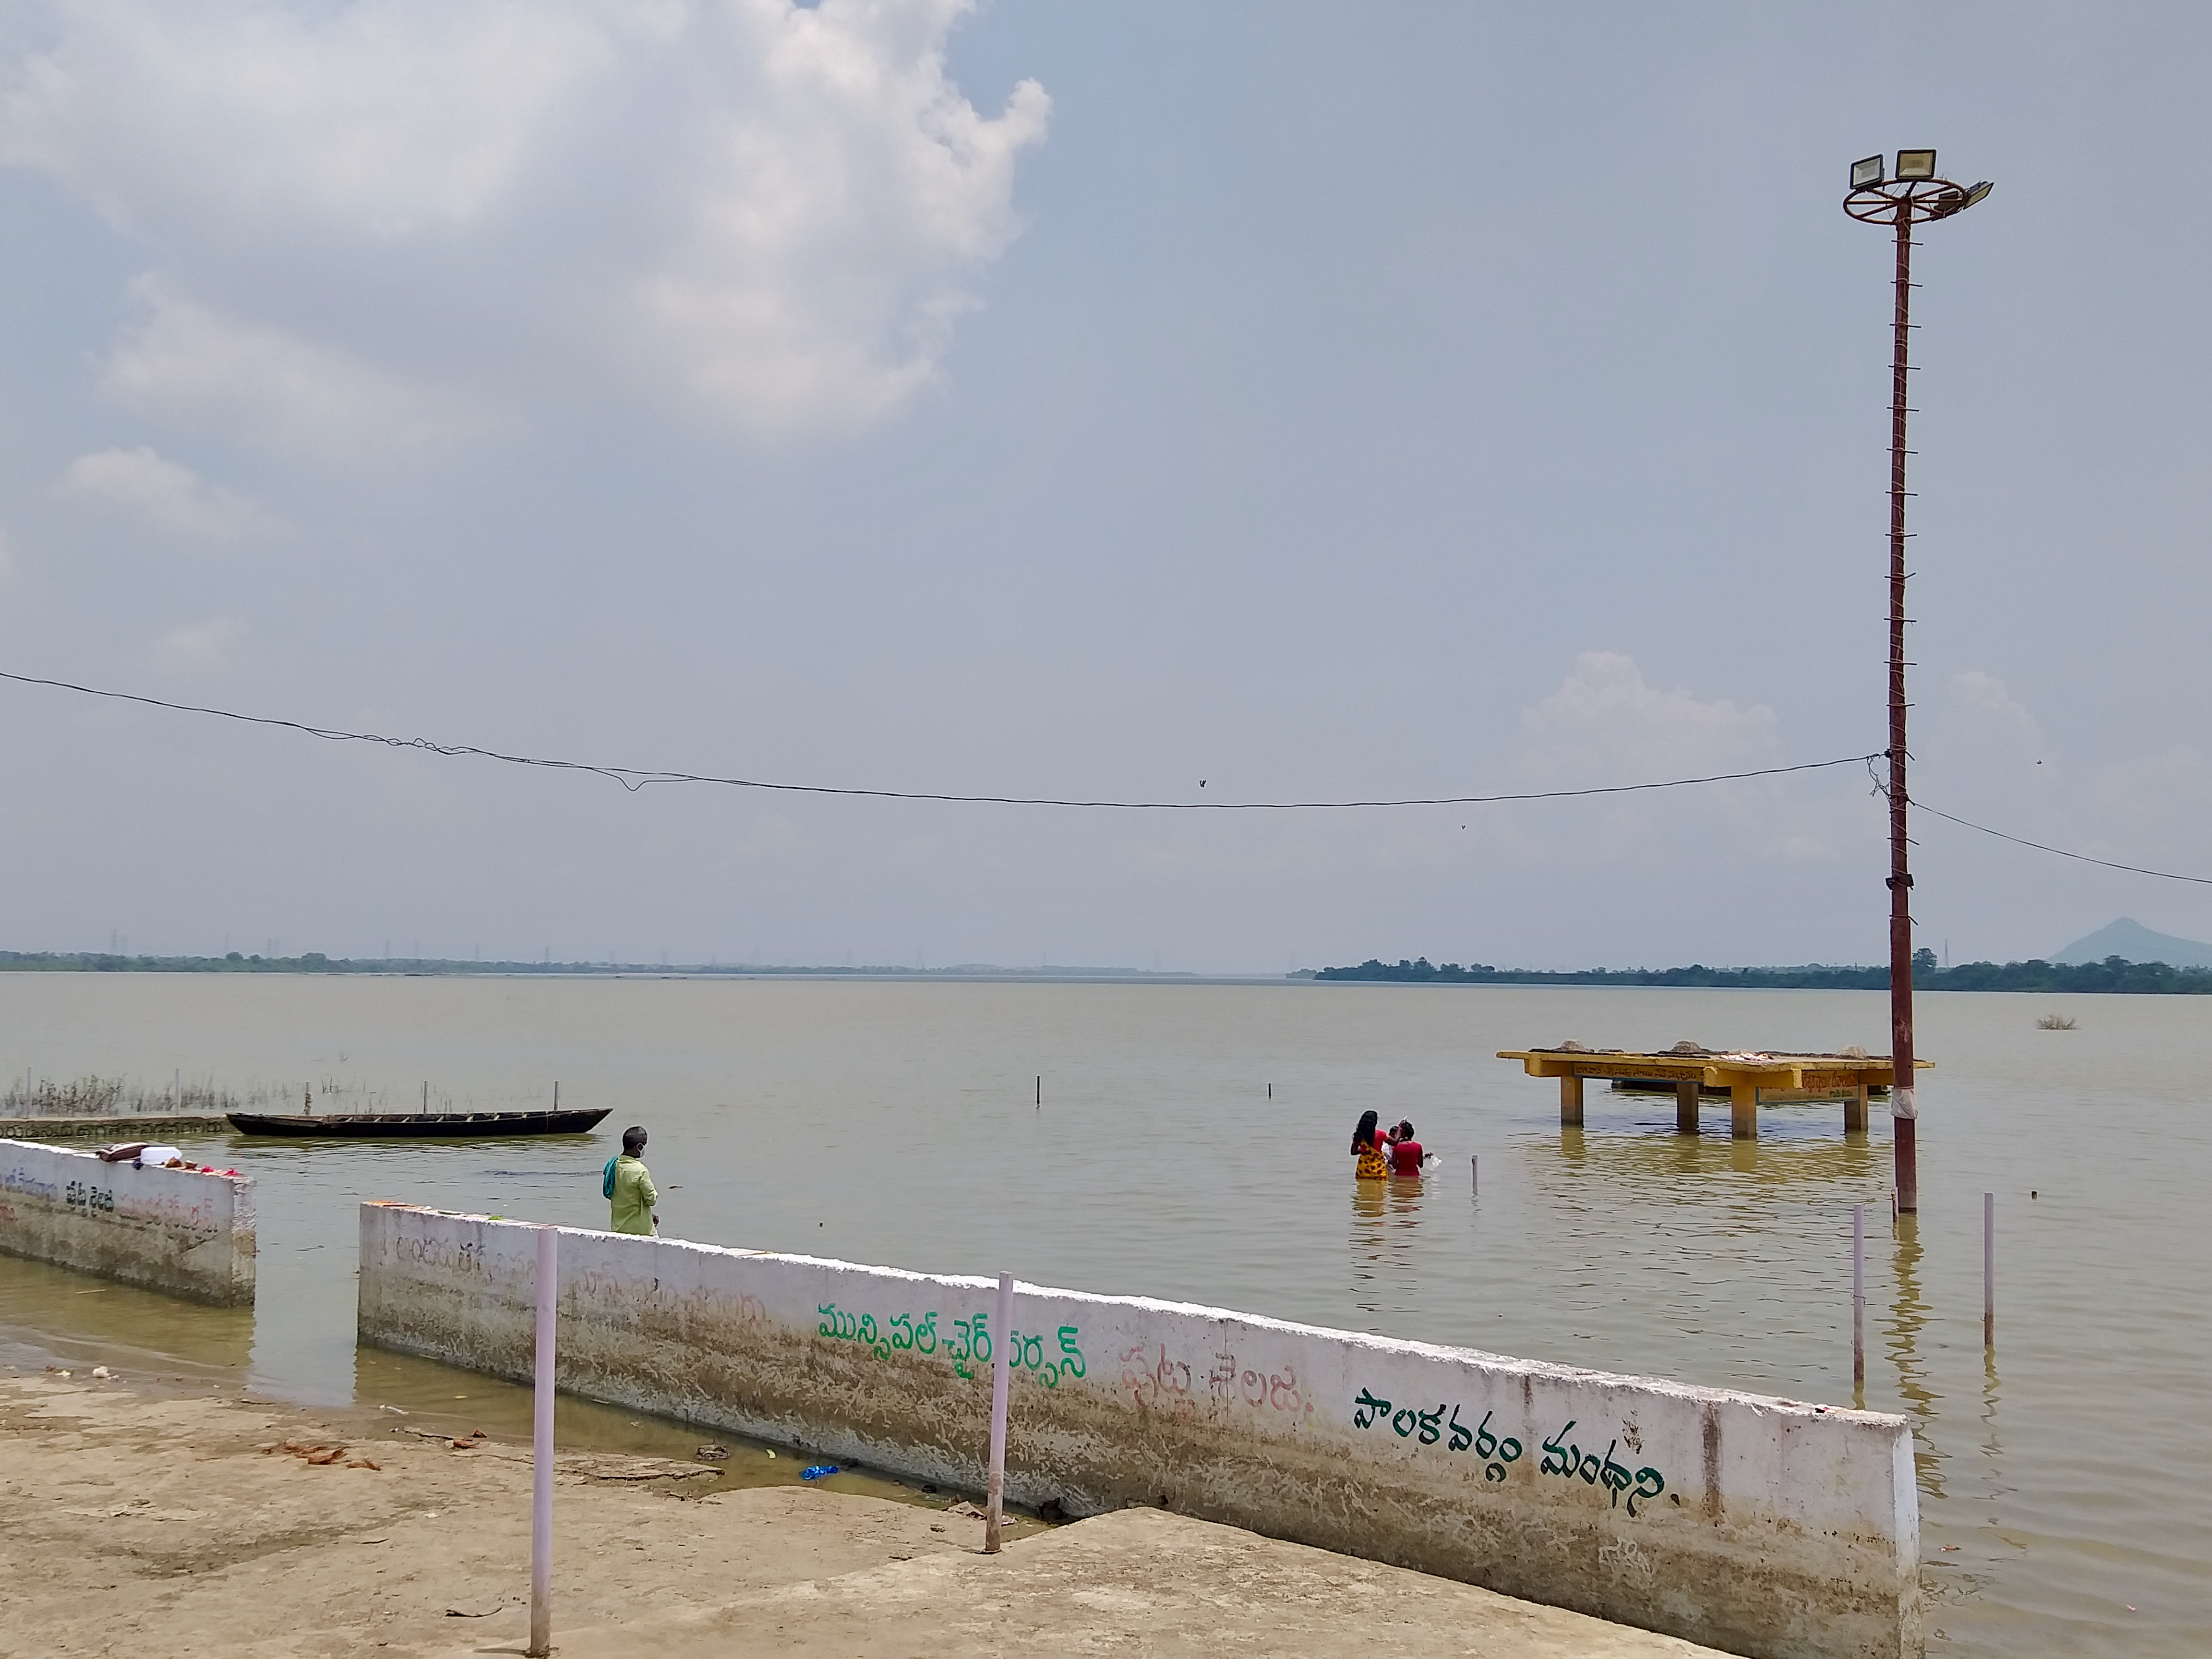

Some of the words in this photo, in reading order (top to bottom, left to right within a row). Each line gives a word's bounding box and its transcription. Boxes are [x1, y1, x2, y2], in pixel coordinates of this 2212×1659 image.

[57, 1172, 118, 1222] పుట్ట శైలజ
[390, 1234, 496, 1283] అందరుతన
[811, 1293, 944, 1364] మున్సిపల్
[936, 1306, 998, 1387] చైర్
[998, 1320, 1091, 1399] పర్సన్
[1116, 1332, 1198, 1413] ప్రట
[1203, 1352, 1323, 1425] గోలజి
[1346, 1382, 1529, 1489] పాలకవర్గం
[1535, 1414, 1669, 1523] మంధని